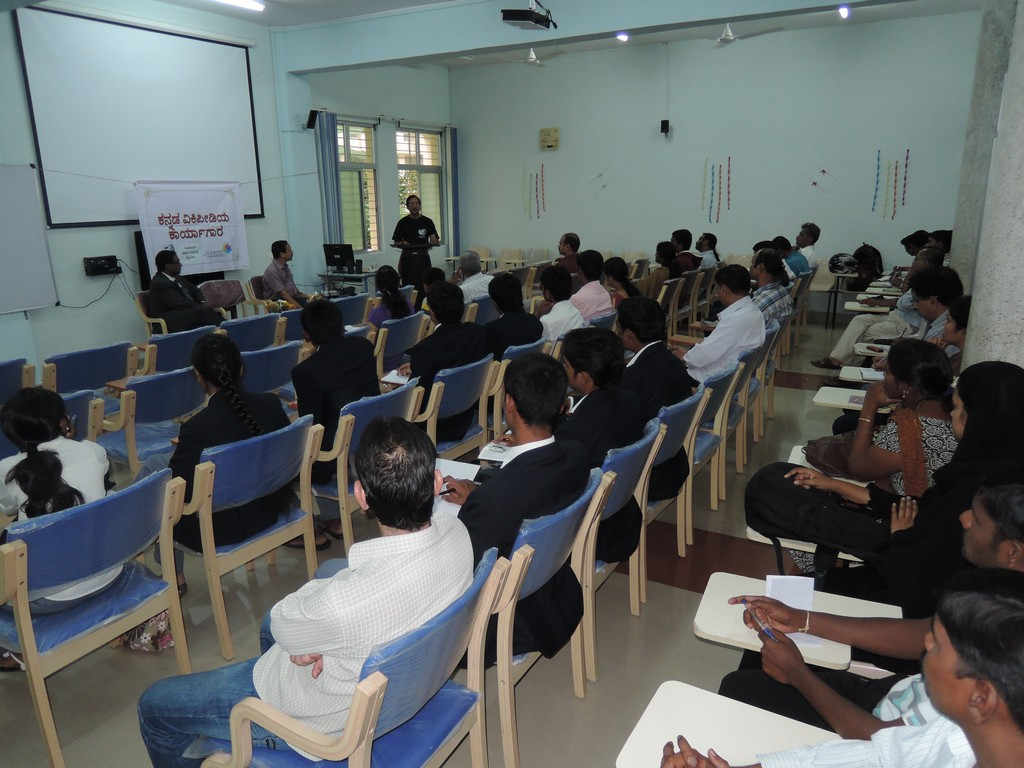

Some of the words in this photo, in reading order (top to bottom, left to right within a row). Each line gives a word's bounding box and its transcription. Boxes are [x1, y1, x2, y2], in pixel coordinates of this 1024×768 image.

[150, 205, 185, 235] ಕನ್ನಡ
[177, 208, 234, 227] ಏಕಿಪೀಡಿಯ
[166, 221, 229, 244] ಕಾರ್ಯಾಗಾರ